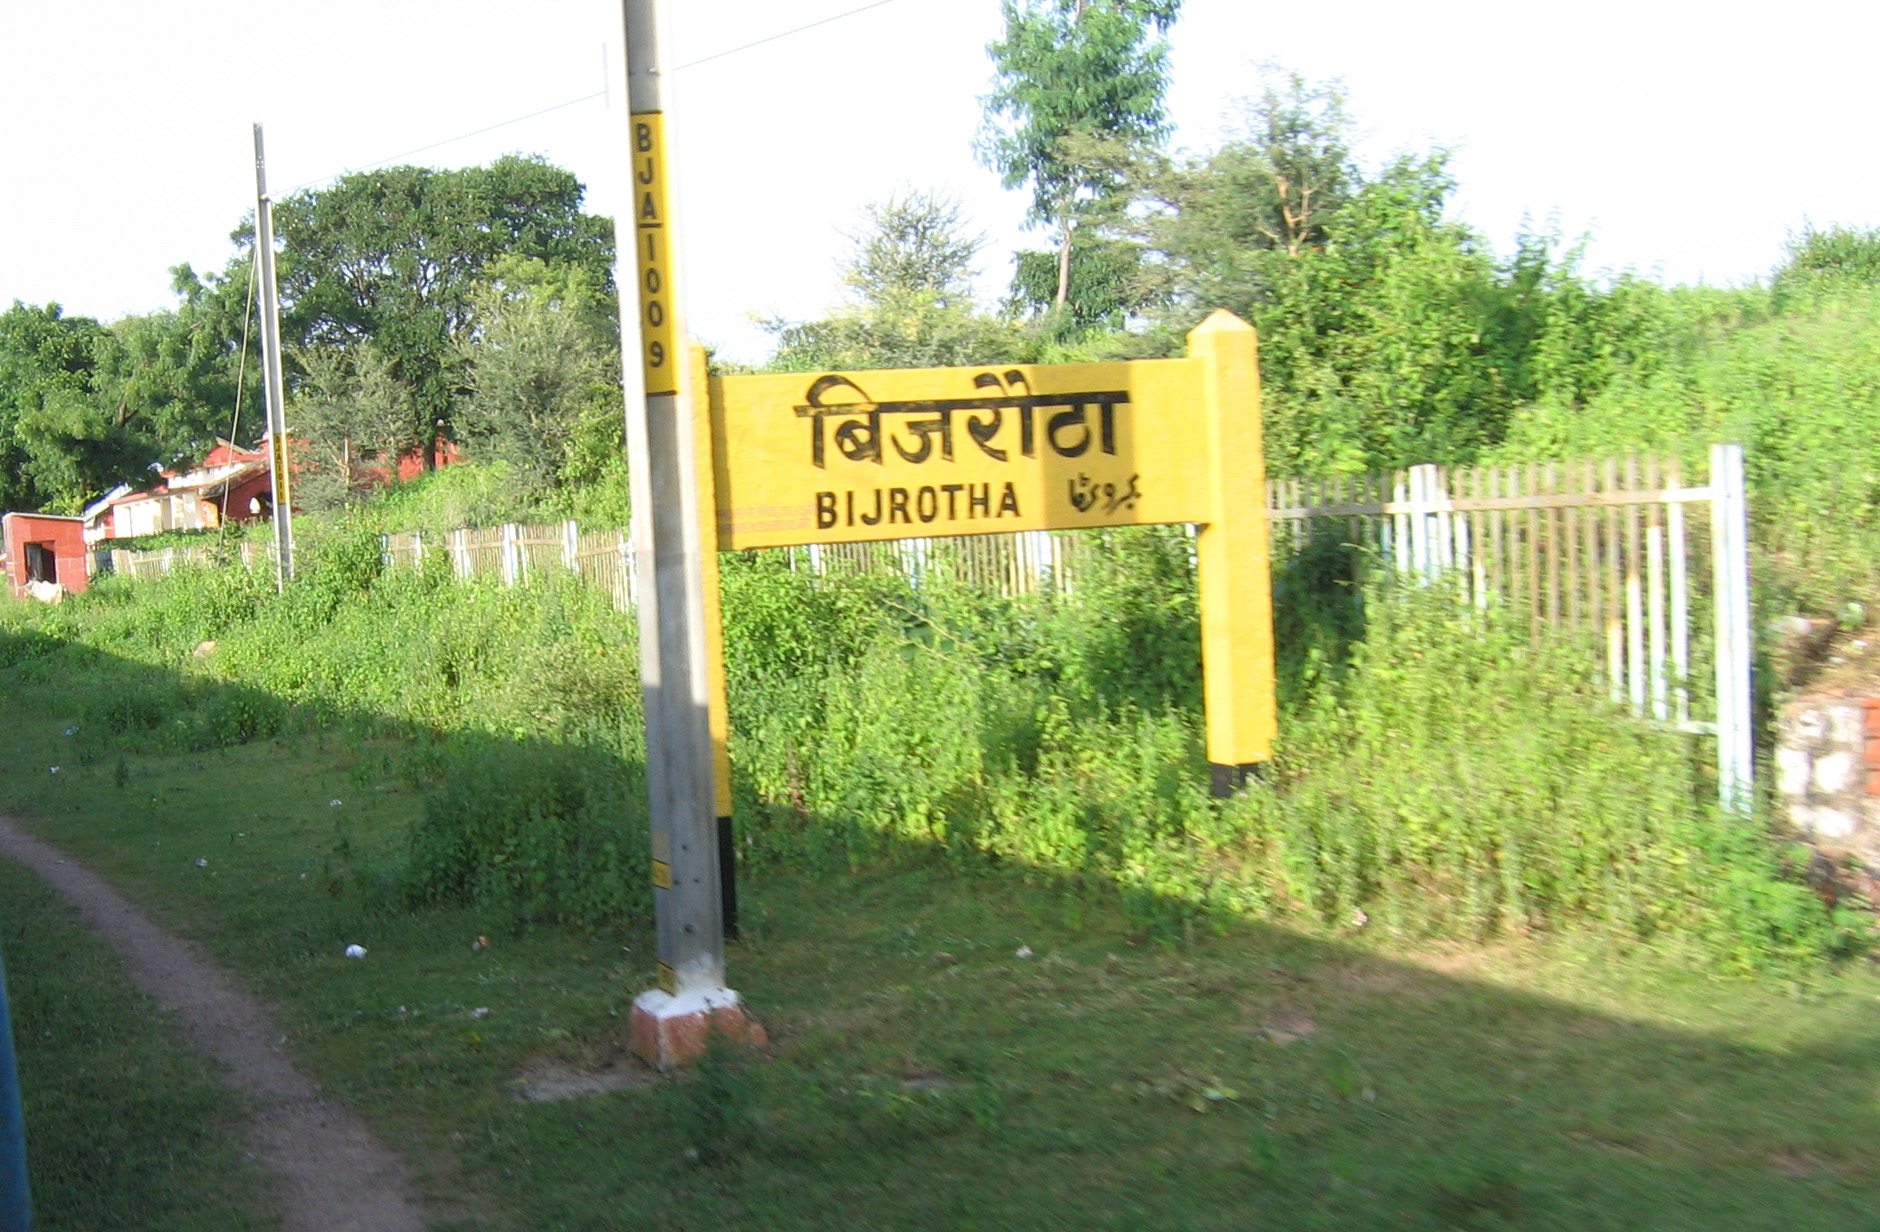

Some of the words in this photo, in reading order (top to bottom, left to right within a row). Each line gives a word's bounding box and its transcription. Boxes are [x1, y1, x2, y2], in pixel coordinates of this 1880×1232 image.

[791, 367, 1135, 472] बिजरौठा
[815, 479, 1023, 532] BIJROTHA